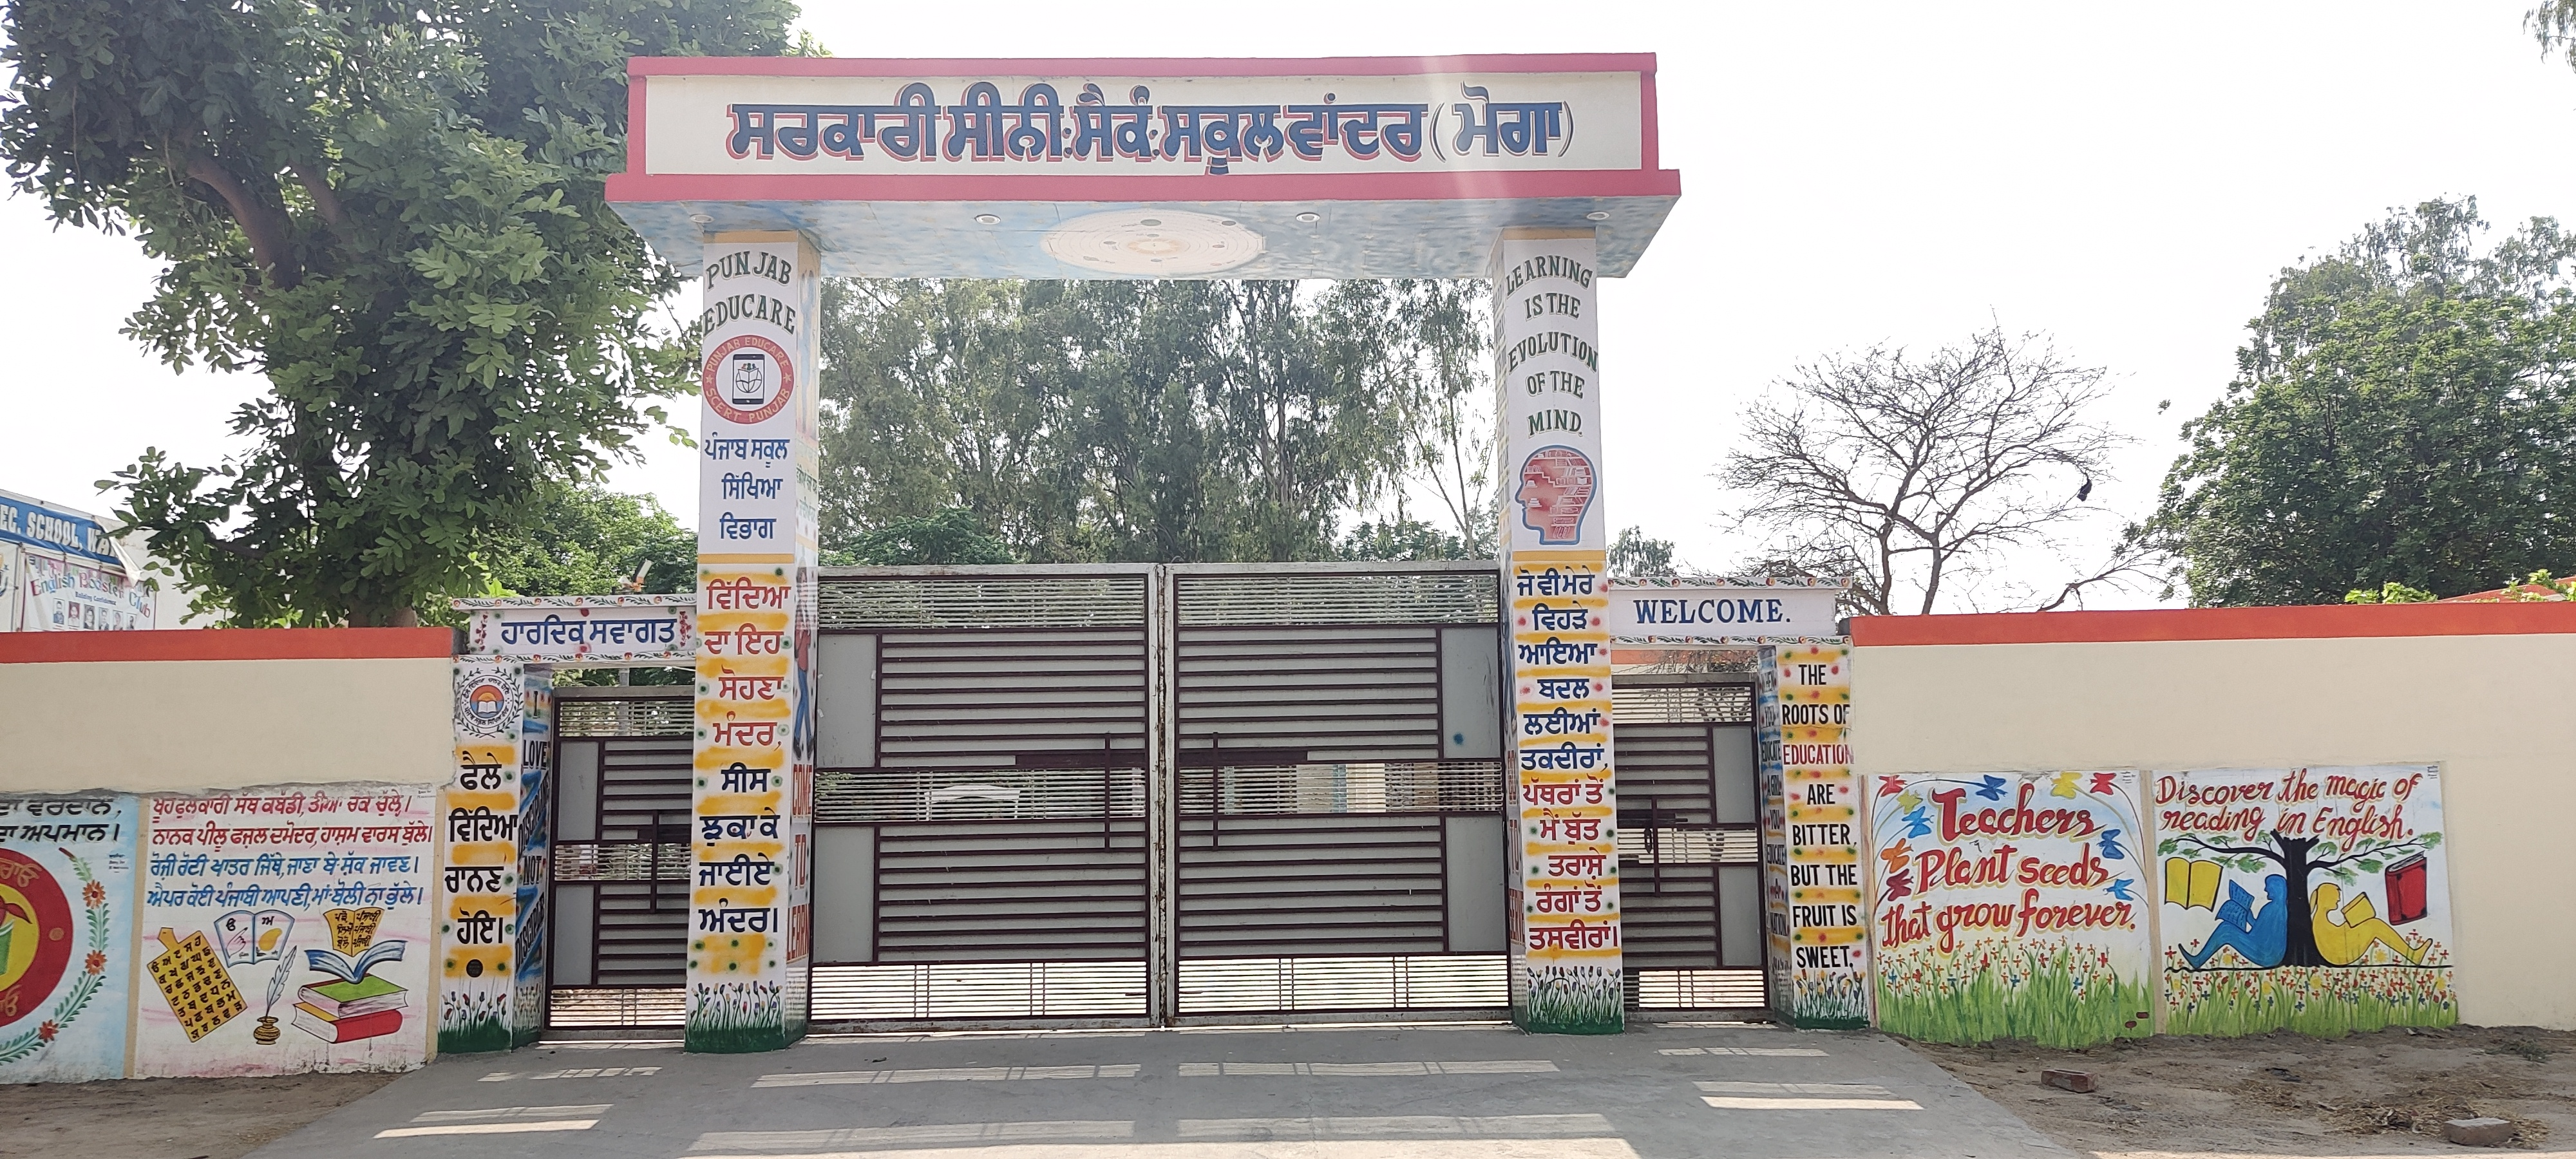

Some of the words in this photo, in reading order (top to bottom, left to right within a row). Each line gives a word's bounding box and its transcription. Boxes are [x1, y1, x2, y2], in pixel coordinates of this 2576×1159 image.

[712, 77, 943, 165] ਸਰਕਾਰੀ
[940, 77, 1075, 164] ਸੀਨੀਃ
[1068, 78, 1165, 168] ਸੈਕੰ:
[1155, 97, 1290, 176] ਸਕੂਲ
[1282, 86, 1437, 171] ਵਾਂਦਰ
[1443, 78, 1569, 163] ਮੋਗਾ
[703, 247, 795, 296] PUNJAB
[1505, 251, 1597, 302] LEARNING
[703, 290, 797, 343] EDUCARE
[1520, 291, 1545, 325] IS
[1542, 288, 1584, 322] THE
[705, 335, 743, 374] PUNJAB
[743, 335, 791, 371] EDUCARE
[1506, 330, 1600, 379] EVOLUTION
[1523, 366, 1549, 399] OF
[1546, 366, 1589, 404] THE
[703, 385, 746, 422] SCERT
[744, 384, 794, 424] PUNJAB
[1523, 405, 1588, 441] MIND.
[701, 427, 750, 466] ਪੰਜਾਬ
[748, 435, 793, 471] ਸਕੂਲ
[718, 468, 786, 505] ਸਿਂਖਆ
[0, 503, 26, 539] EC.
[22, 505, 82, 549] SCHOOL
[714, 509, 781, 547] ਵਿਭਾਗ
[26, 570, 78, 600] English
[76, 570, 129, 601] Booster
[125, 585, 154, 619] Club
[498, 608, 590, 646] ਹਾਰਦਿਕ
[588, 614, 680, 648] ਸਵਾਗਤ
[698, 624, 732, 661] ਦਾ
[703, 572, 794, 614] ਵਿਂਦਿਆ
[732, 618, 788, 663] ਇਹ
[1513, 563, 1537, 599] ਜੋ
[1536, 563, 1562, 598] ਵੀ
[1516, 634, 1601, 671] ਆਇਆ
[1528, 597, 1591, 634] ਵਿਹੜੇ
[1560, 561, 1597, 596] ਮੇਰੇ
[1628, 598, 1786, 626] WELCOME
[528, 687, 544, 722] I
[708, 706, 784, 752] ਮੰਦਰ
[712, 661, 788, 707] ਸੋਹਣਾ
[1519, 704, 1604, 738] ਲਈਆਂ
[1531, 676, 1593, 705] ਬਦਲ
[1779, 702, 1832, 727] ROOTS
[1795, 661, 1829, 688] THE
[1831, 702, 1853, 728] OF
[17, 821, 114, 845] ਅਪਮਾਨ
[23, 796, 117, 818] ਵਰਦਾਨ
[149, 794, 179, 825] ਖੂਹ
[150, 824, 197, 848] ਨਾਨਕ
[172, 789, 235, 821] ਫੁਲੇਕਾਰੀ
[195, 818, 231, 854] ਪੀਲੂ
[230, 788, 264, 818] ਸੱਥ
[229, 825, 272, 852] ਫਜ਼ਲ
[259, 787, 310, 818] ਕਬੱਡੀ
[268, 818, 322, 849] ਦਮੋਦਰ
[306, 786, 347, 817] ਤੀਆ
[319, 824, 363, 847] ਹਾਸ਼ਮ
[343, 783, 377, 817] ਚਕੇ
[359, 822, 402, 848] ਵਾਰਸ
[374, 785, 408, 818] ਚੁੱਲੇੁ
[399, 816, 433, 849] ਬੁੱਲੇ।
[445, 803, 520, 845] ਵਿੱਦਿਆ
[457, 744, 513, 794] ਫੈਲੇ
[522, 735, 553, 772] LOVE
[696, 798, 786, 850] ਝਕਾਕੇ
[715, 753, 776, 797] ਸੀਸ
[790, 762, 815, 818] COME
[1534, 806, 1562, 848] ਮੈਂ
[1519, 774, 1584, 807] ਪੱਥਰਾਂ
[1518, 738, 1608, 773] ਤਕਦੀਰਾਂ
[1561, 809, 1604, 848] ਬੁੱਤ
[1582, 771, 1607, 807] ਤੇਂ
[1781, 742, 1857, 768] EDUCATION
[1801, 781, 1839, 806] ARE
[1788, 820, 1853, 850] BITTER
[1924, 779, 2112, 845] Teachers
[2156, 804, 2269, 841] reading
[2152, 775, 2279, 809] Discover
[2269, 805, 2310, 839] in
[2274, 767, 2322, 806] the
[2321, 768, 2392, 815] magic
[2309, 801, 2417, 858] English.
[2390, 768, 2426, 803] of
[1, 854, 46, 893] ਰਾੳ
[146, 849, 180, 883] ਰੋਜੀ
[144, 879, 189, 910] ਐਪਰ
[174, 849, 212, 879] ਰੋਈ
[185, 879, 217, 909] ਕੋਈ
[207, 852, 255, 880] ਖਾਤਰ
[222, 914, 242, 934] ੳ
[213, 879, 264, 911] ਪੰਜਾਬੀ
[258, 911, 279, 932] ਅ
[251, 847, 288, 880] ਜਿੱਥੇ
[258, 879, 316, 910] ਆਪਣੀ
[285, 853, 324, 878] ਜਾਣਾ
[317, 847, 344, 878] ਬੇ
[310, 876, 370, 909] ਮਾਂ.ਬੋਲੀ
[336, 847, 371, 878] ਸ਼ੱਕ
[363, 884, 389, 909] ਨਾ
[366, 851, 414, 876] ਜਾਵਣ
[381, 876, 420, 911] ਭੁੱਲੇ
[450, 901, 498, 950] ਹੋਇ
[442, 862, 507, 900] ਚਾਨਣ
[518, 851, 547, 890] NOT
[692, 894, 778, 937] ਅੰਦਰ
[693, 847, 780, 890] ਜਾਈਏ
[785, 898, 812, 966] LEARN
[790, 829, 811, 894] TO:
[1531, 879, 1583, 916] ਰੱਗਾਂ
[1526, 916, 1613, 953] ਤਸਵੀਰਾਂ
[1541, 844, 1610, 882] ਤਰਾਸ਼ੇ
[1580, 877, 1607, 914] ਤੋਂ
[1790, 862, 1824, 890] BUT
[1790, 902, 1839, 930] FRUIT
[1823, 862, 1860, 890] THE
[1837, 900, 1858, 927] IS
[1873, 896, 1936, 952] that
[1910, 840, 2022, 896] Plant
[1931, 893, 2018, 957] grow
[2014, 838, 2130, 891] Seeds
[2012, 886, 2141, 943] forever.
[1794, 943, 1855, 970] SWEET,